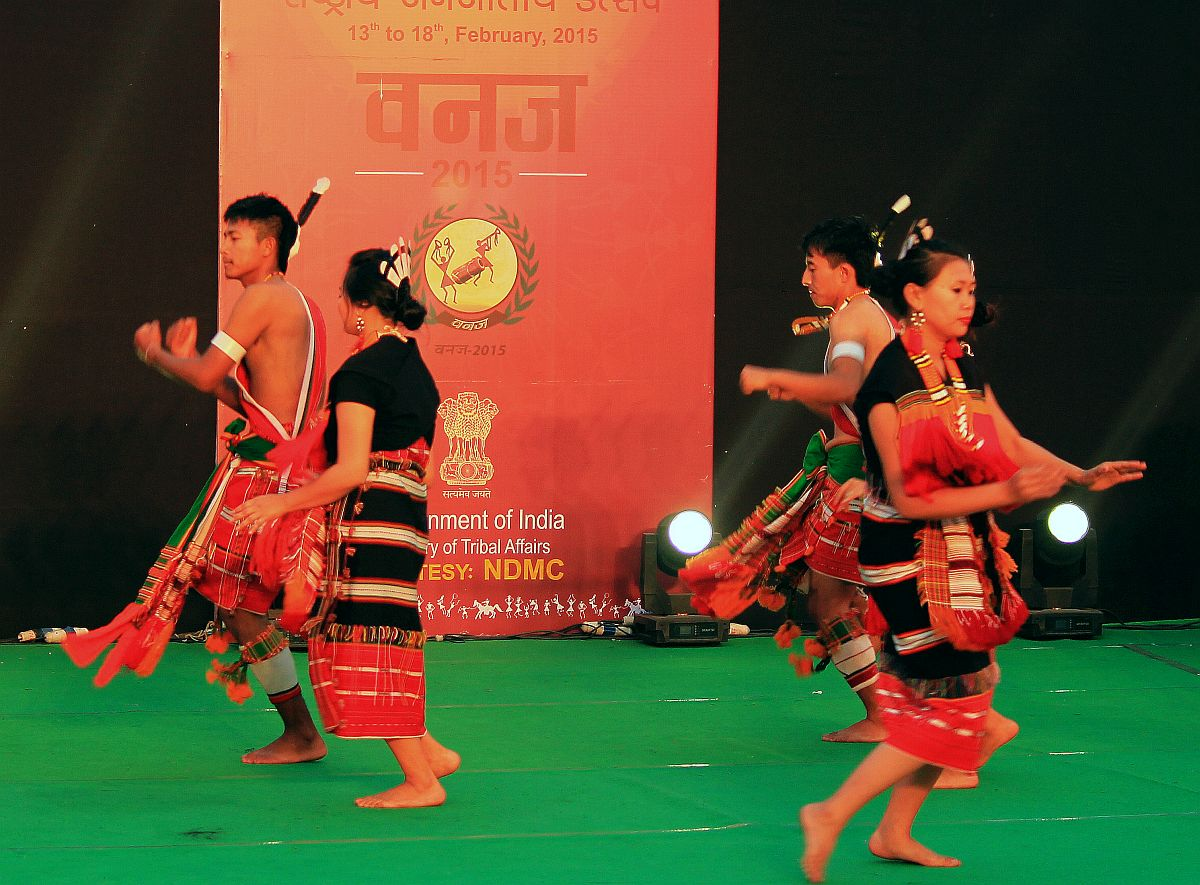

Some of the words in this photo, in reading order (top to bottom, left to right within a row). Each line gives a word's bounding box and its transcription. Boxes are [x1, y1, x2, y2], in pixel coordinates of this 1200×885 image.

[341, 12, 383, 44] 13th
[379, 19, 410, 46] to
[407, 13, 445, 49] 18th
[451, 17, 548, 51] February
[551, 18, 601, 49] 2015
[353, 64, 593, 157] वनज
[423, 153, 517, 192] 2015
[445, 312, 491, 333] वनज
[431, 336, 511, 362] वनज-2015
[435, 476, 474, 504] सत्यमेव
[467, 480, 495, 501] जयते
[424, 505, 492, 533] nment
[489, 504, 516, 533] of
[514, 502, 571, 535] India
[437, 533, 461, 558] ां
[457, 527, 508, 558] Tribal
[496, 529, 557, 559] Affairs
[481, 547, 569, 589] NDMC